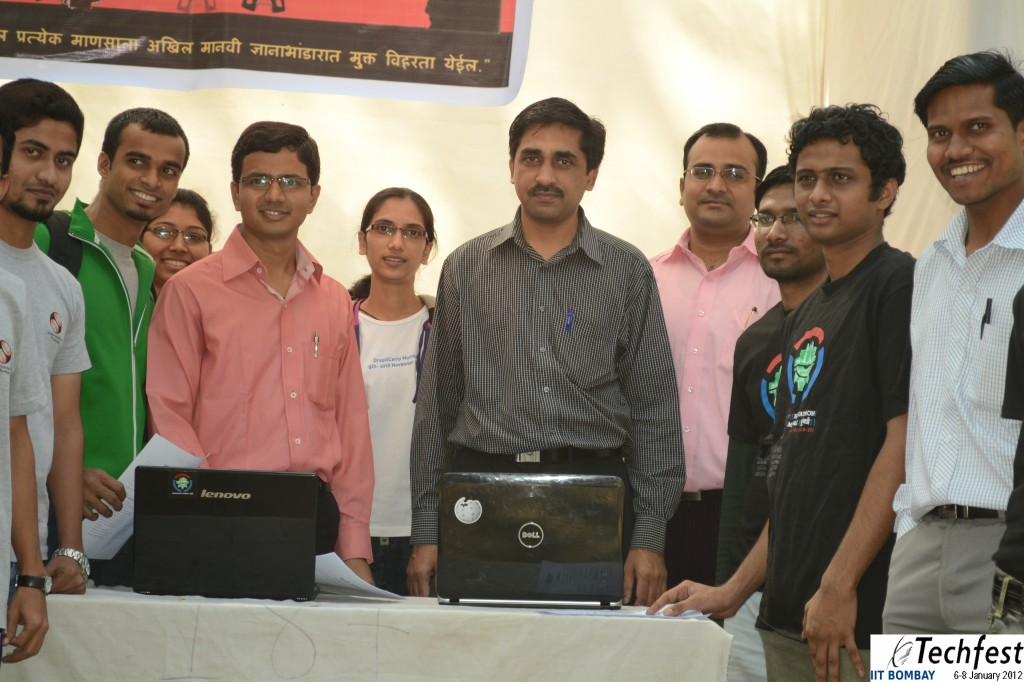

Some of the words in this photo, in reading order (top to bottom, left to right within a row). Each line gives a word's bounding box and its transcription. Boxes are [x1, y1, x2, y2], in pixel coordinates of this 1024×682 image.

[9, 20, 68, 53] प्रत्येक
[64, 29, 145, 57] माणसाला
[140, 25, 199, 61] अखिल
[196, 31, 249, 59] मानवी
[241, 39, 345, 66] ज्ञानाभांडारात
[343, 46, 382, 78] मुक्त
[378, 41, 439, 81] विहरता
[435, 42, 486, 82] येईलः
[913, 626, 1024, 673] Techfest
[864, 664, 890, 681] IIT
[885, 661, 939, 681] BOMBAY
[949, 665, 1024, 681] 6-8January2012